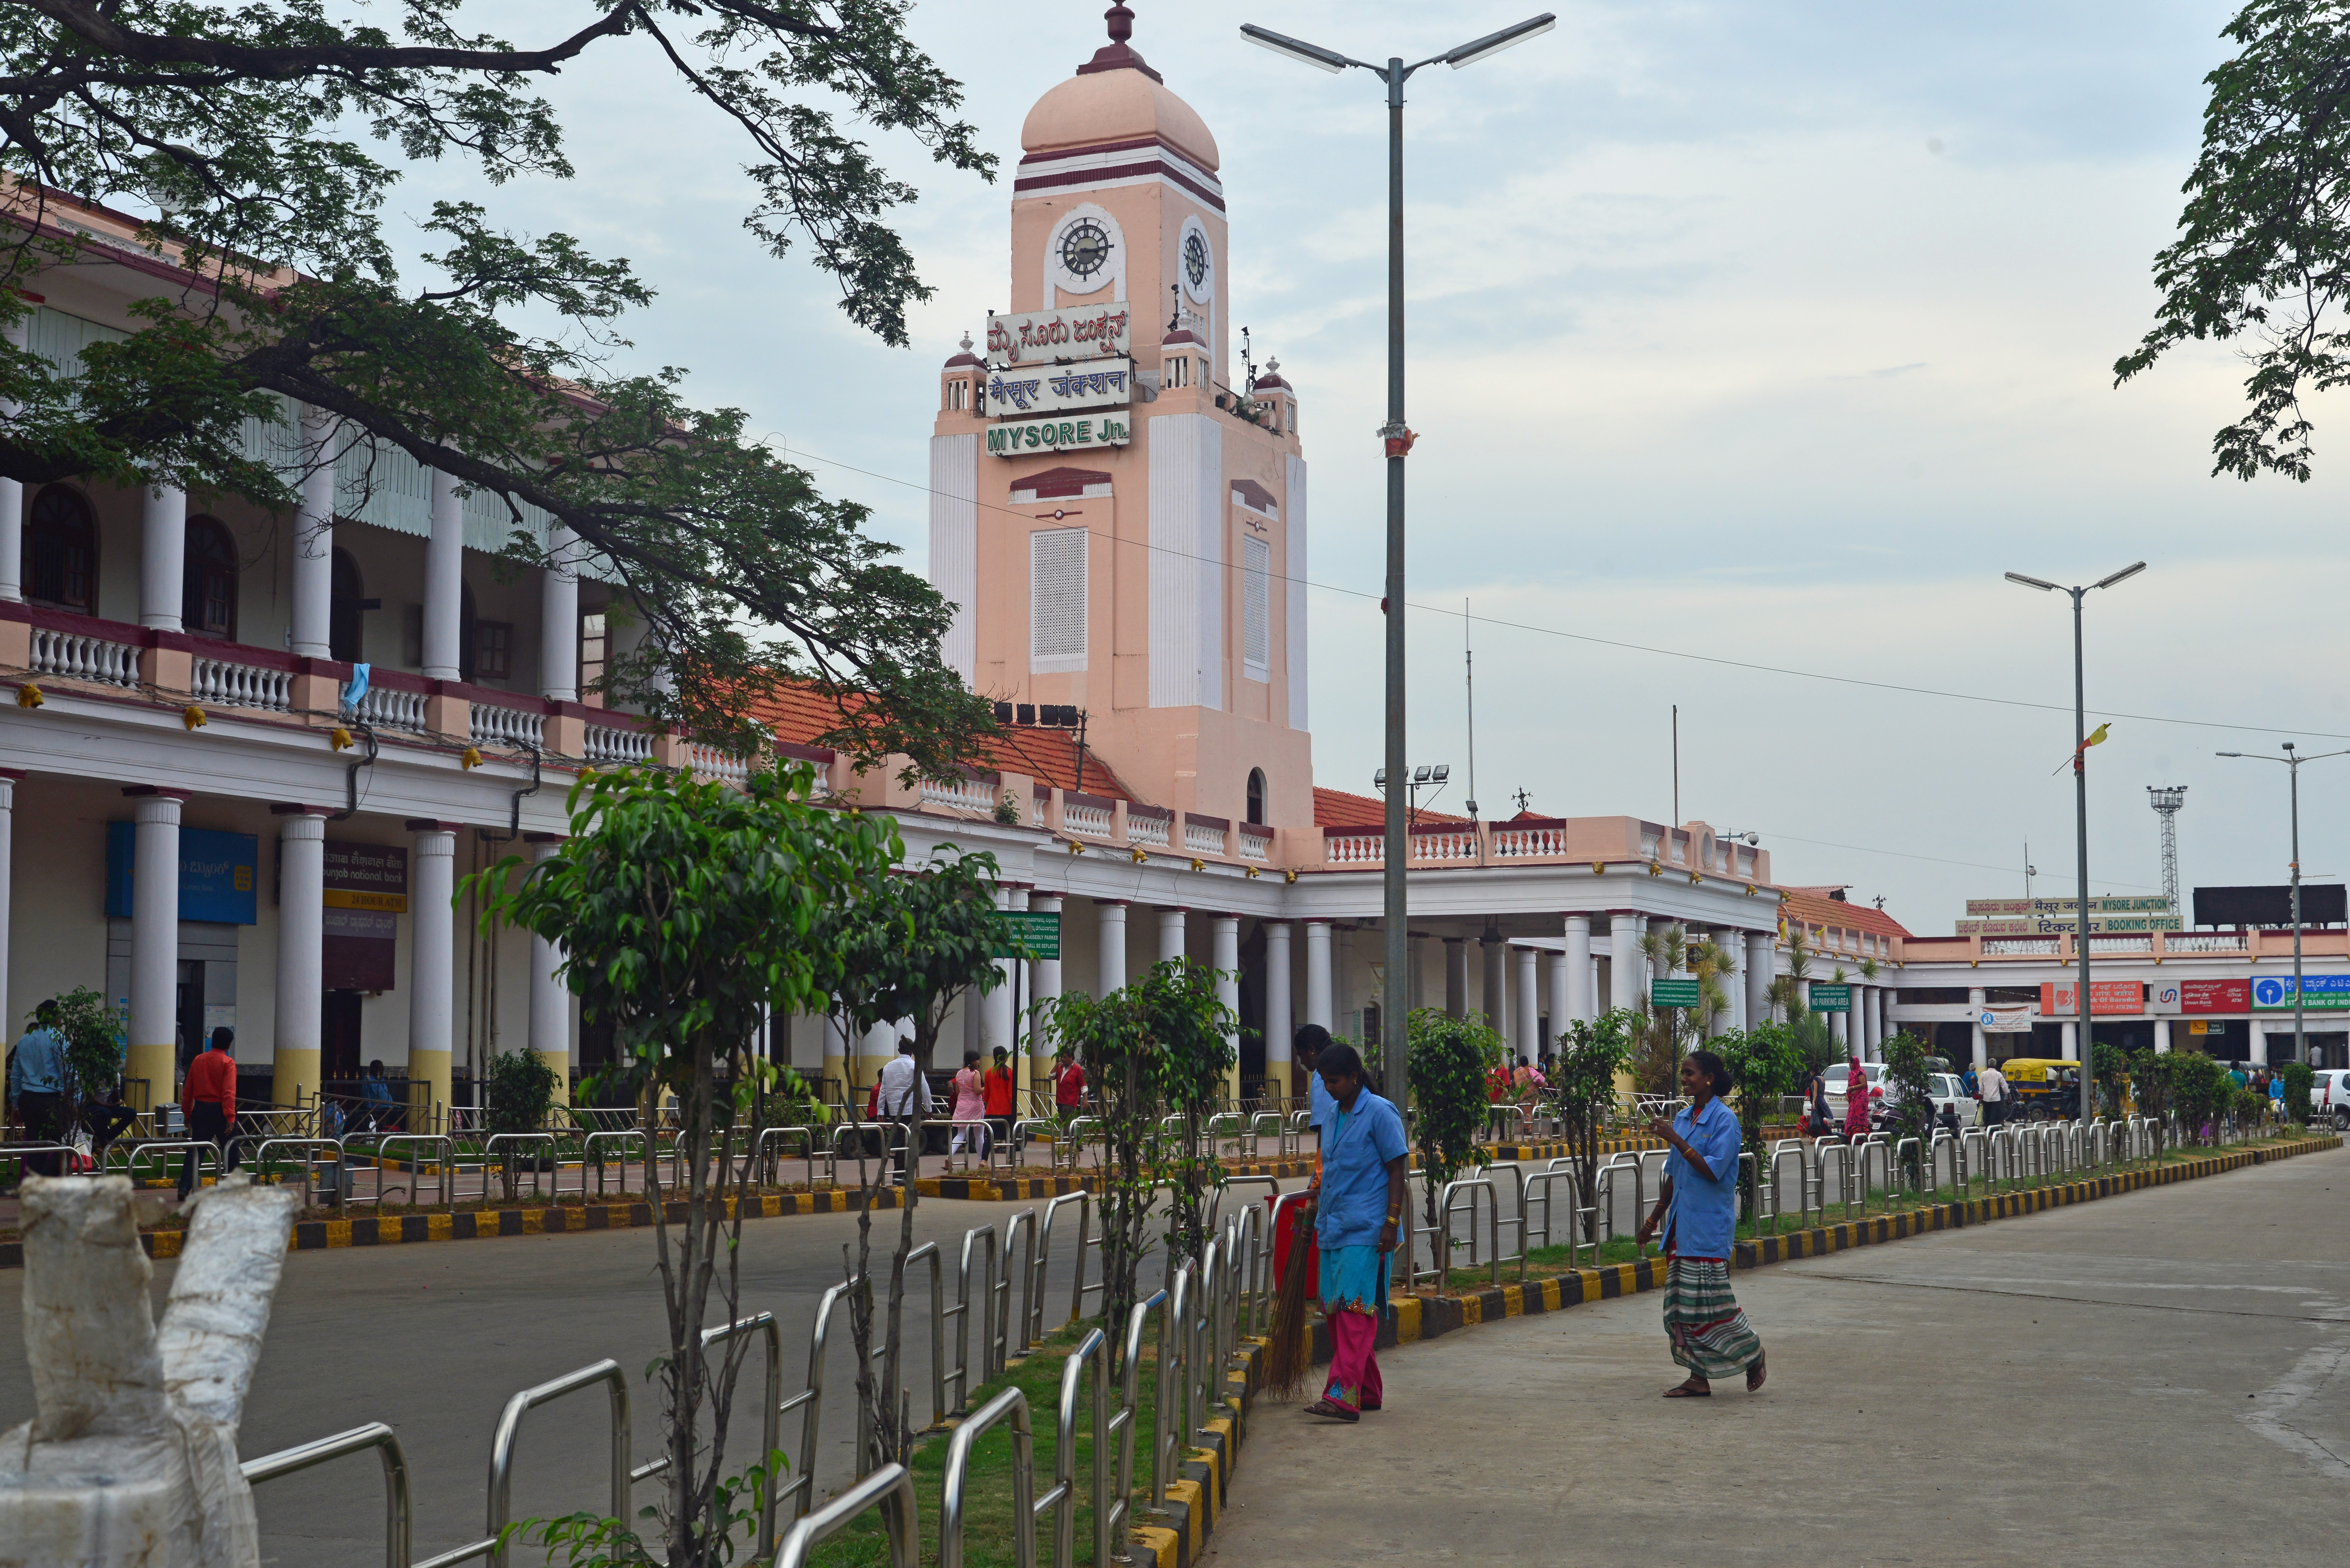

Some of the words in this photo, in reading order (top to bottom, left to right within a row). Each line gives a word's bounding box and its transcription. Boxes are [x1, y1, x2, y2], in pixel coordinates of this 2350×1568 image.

[1071, 308, 1128, 353] ಜಂಕ್ಷನ್
[985, 313, 1068, 365] ಮೈಸೂರು
[1046, 367, 1125, 400] जंक्शन
[987, 373, 1041, 410] मैसूर
[1094, 413, 1130, 442] Jn.
[985, 419, 1092, 451] MYSORE
[1966, 900, 2002, 915] ಮೈಸೂರು
[2002, 898, 2032, 916] ಜಂಕ್ಷನ್
[2032, 897, 2060, 916] मैसूर
[2062, 896, 2100, 911] जंक्शन
[2101, 897, 2131, 911] MYSORE
[2131, 896, 2168, 911] JUNCTION
[1024, 915, 1046, 924] ವಾಹನಗಳನ್ನು
[1033, 923, 1060, 932] ತೆಗೆಯಲಾಗುವುದ
[1045, 916, 1060, 925] ನಿಲ್ಲಸಿದಲ್ಲಿ
[1956, 917, 1981, 935] ಟಕೇಟ್
[1980, 919, 2008, 934] ಕೊಡುವ
[2005, 918, 2028, 935] ಕಛೇರಿ
[2035, 918, 2077, 934] टिकट
[2081, 921, 2102, 933] घर
[2106, 916, 2149, 931] BOOKING
[2148, 916, 2180, 931] OFFICE
[1021, 934, 1045, 942] HORISEDLY
[1043, 933, 1060, 941] PARKED
[1024, 941, 1036, 949] HALL
[1035, 942, 1042, 949] BE
[1041, 942, 1060, 950] DEFLATED
[1652, 998, 1657, 1003] IN
[1655, 998, 1661, 1004] THE
[1652, 992, 1665, 998] VEHICLES
[1659, 998, 1670, 1003] STATION
[1663, 993, 1672, 998] FOUND
[1667, 998, 1679, 1003] PREMISED
[1670, 994, 1689, 999] UNAUTHORISEDLY
[1677, 999, 1686, 1005] SHALL
[1682, 998, 1698, 1004] BE DEFLATED
[1688, 993, 1698, 999] PARKED
[1809, 998, 1819, 1007] NO
[1811, 984, 1823, 992] SOUTH
[1814, 991, 1831, 997] MYSORE
[1818, 996, 1838, 1006] PARKING
[1821, 986, 1837, 991] WESTERN
[1829, 990, 1847, 997] DIVISION
[1835, 986, 1848, 992] RAILWAY
[1836, 996, 1850, 1006] AREA
[2086, 982, 2097, 991] ಕ್
[2094, 988, 2113, 998] ऑफ़
[2098, 996, 2109, 1003] Of
[2097, 984, 2112, 992] ಆಫ್
[2115, 1003, 2126, 1010] ATM
[2109, 994, 2137, 1003] Baroda
[2111, 988, 2136, 998] बडौदा
[2111, 981, 2138, 990] ಬರೋಡ
[2124, 1003, 2142, 1010] 24Hrs
[2183, 999, 2199, 1006] Union
[2183, 991, 2202, 999] यूनियन
[2183, 982, 2209, 991] ಯೂನಿಯನ್
[2198, 990, 2210, 999] बैक
[2198, 999, 2212, 1006] Bank
[2206, 983, 2223, 991] ಬ್ಯಾಂಕ್
[2225, 991, 2242, 998] एटीएम
[2230, 997, 2243, 1004] ATM
[2282, 976, 2300, 992] ಸ್ಪೇ
[2286, 999, 2308, 1007] STE
[2308, 992, 2319, 999] ಬ್ಯಾಂಕ್
[2304, 979, 2327, 991] ಬ್ಯಾಂಕ್
[2307, 998, 2327, 1006] BANK
[2322, 990, 2338, 999] भारतीय
[2325, 998, 2336, 1007] OF
[2330, 978, 2349, 989] ಎಟಿಎ
[2336, 990, 2347, 999] स्‍टेट